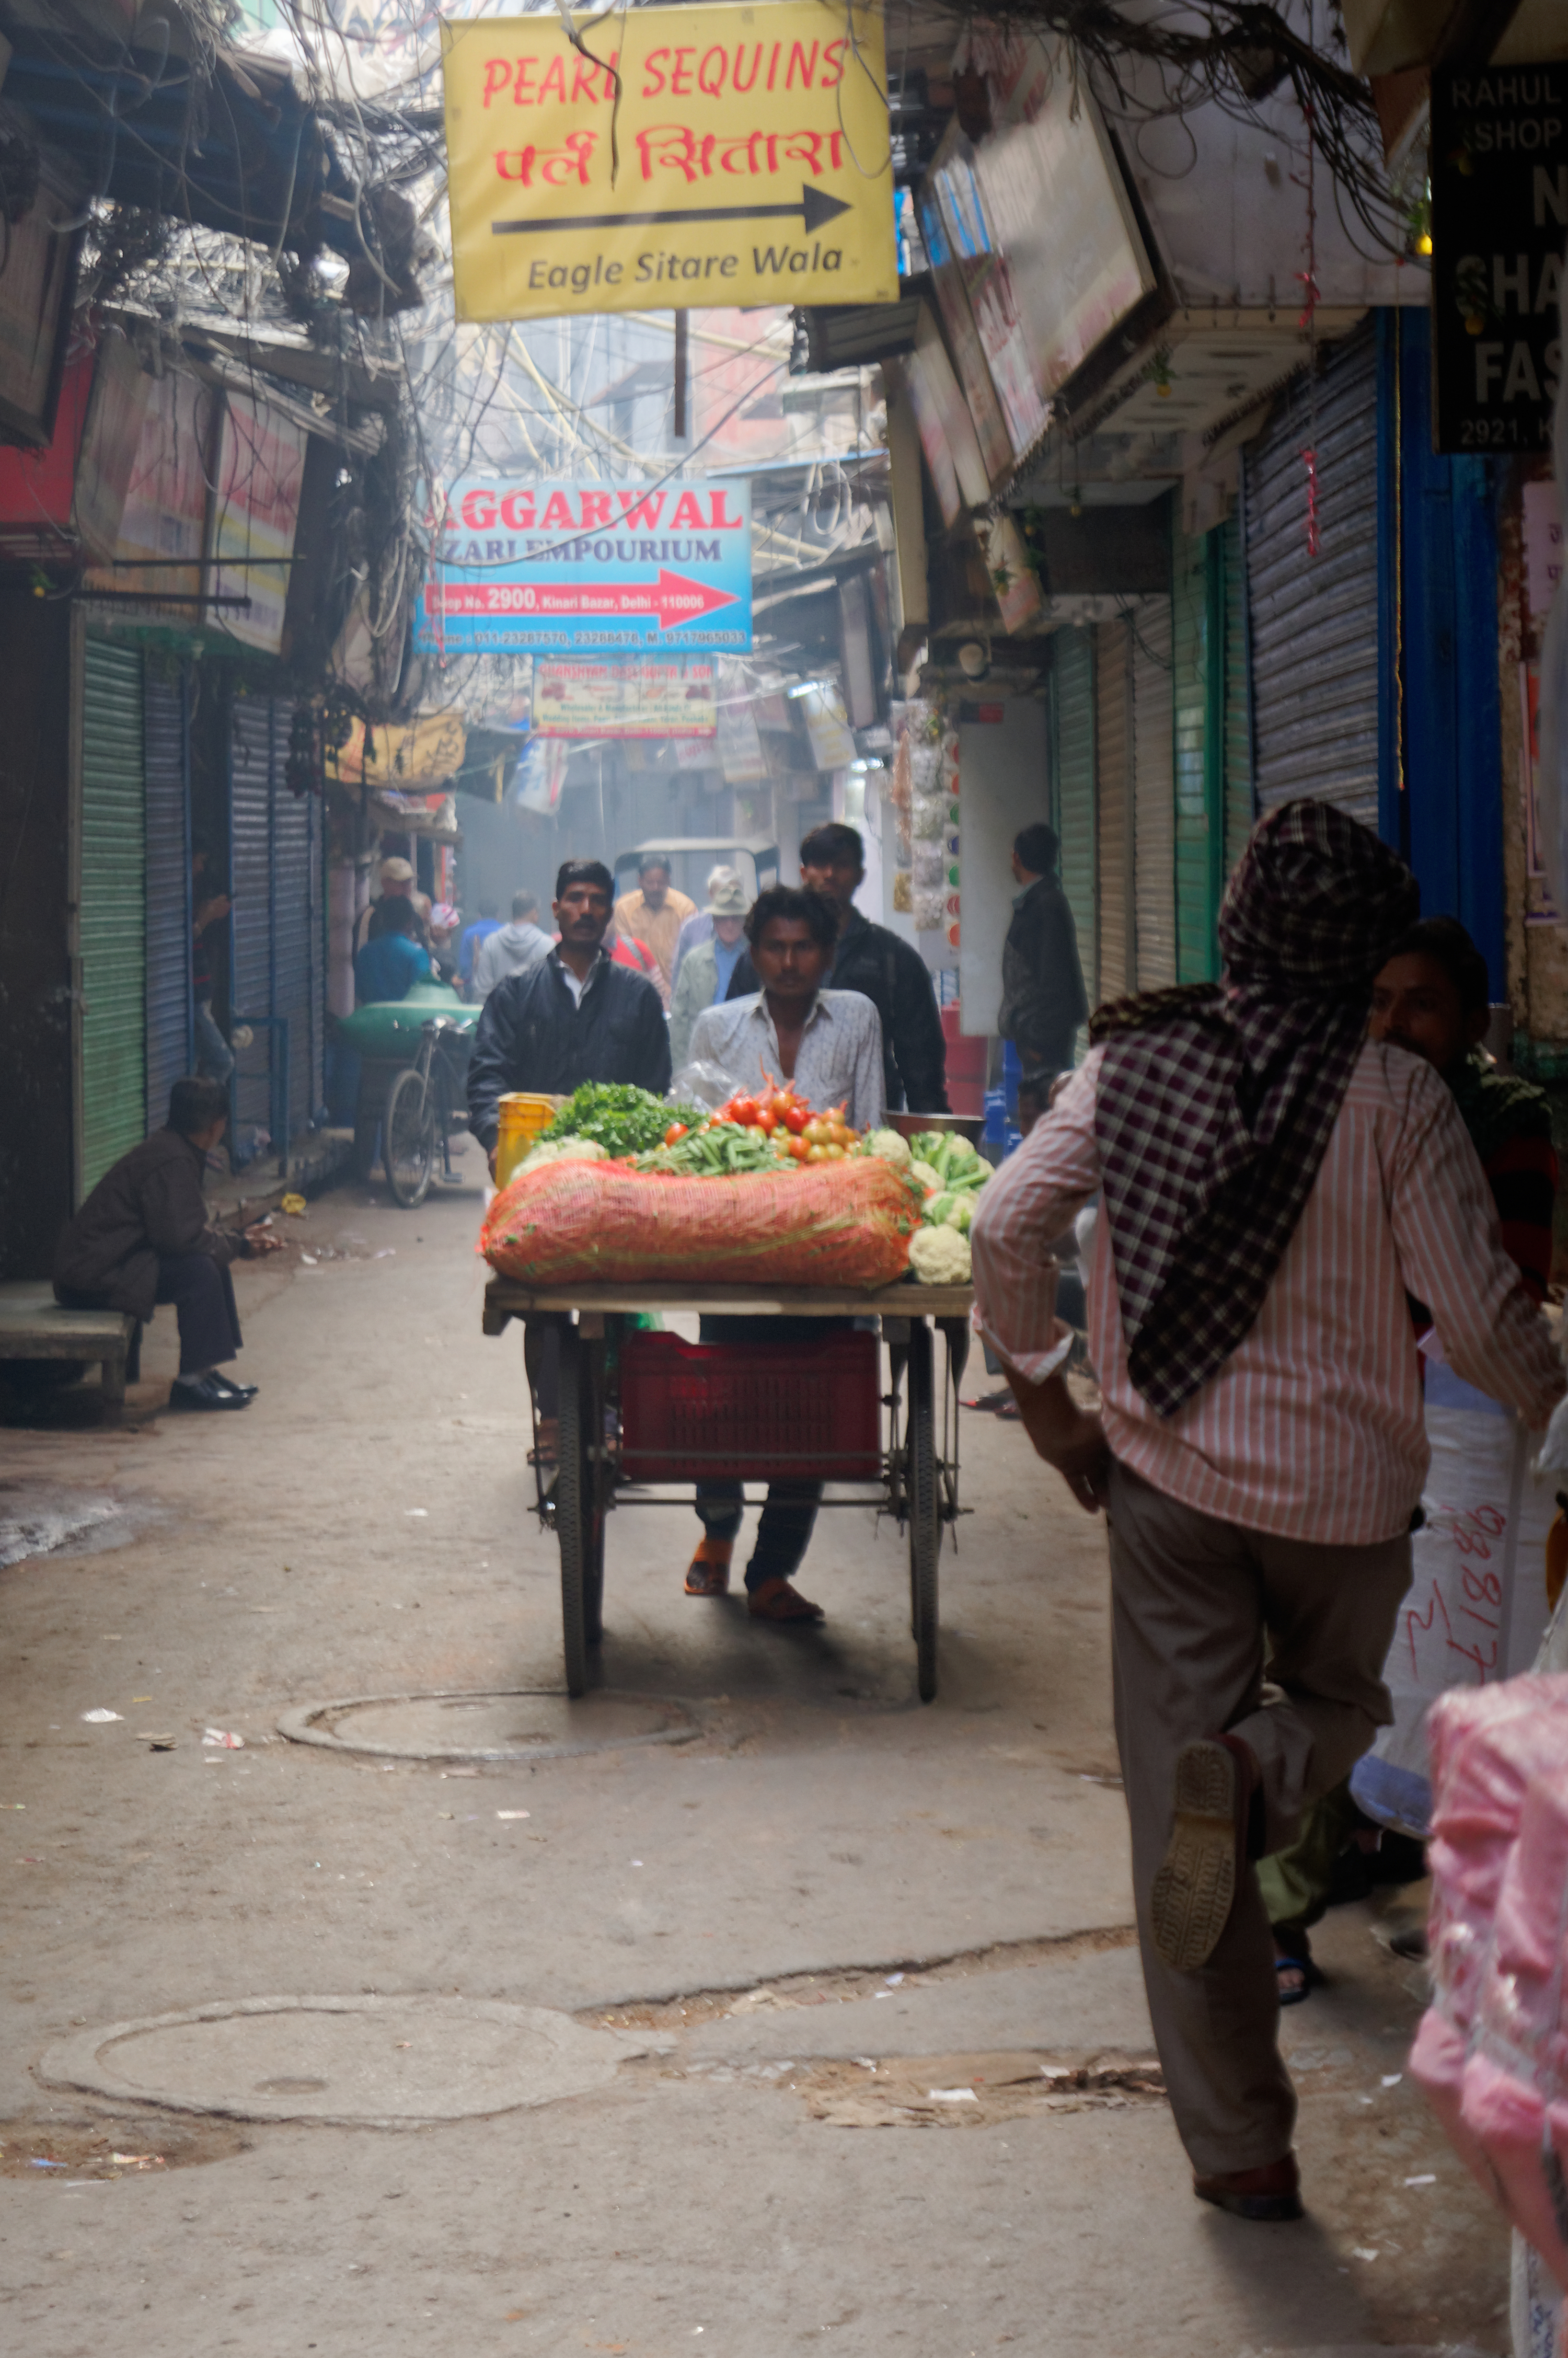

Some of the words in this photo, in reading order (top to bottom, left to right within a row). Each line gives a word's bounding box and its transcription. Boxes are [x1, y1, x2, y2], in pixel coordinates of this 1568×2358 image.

[475, 49, 626, 110] PEARL
[638, 34, 854, 104] SEQUINS
[492, 125, 603, 193] पर्ल
[629, 120, 845, 192] सितारा
[525, 253, 629, 299] Eagle
[631, 246, 745, 286] ५।१०७९
[749, 236, 844, 281] Wala
[416, 486, 746, 532] AGGARWAL
[426, 536, 522, 570] ZARI
[520, 534, 726, 567] EMPOURIUM
[427, 589, 484, 620] Shop No.
[487, 584, 542, 616] 2900
[538, 591, 583, 613] Kinari
[577, 591, 620, 616] Bazar,
[616, 592, 657, 617] Delhi
[657, 591, 708, 612] 110006